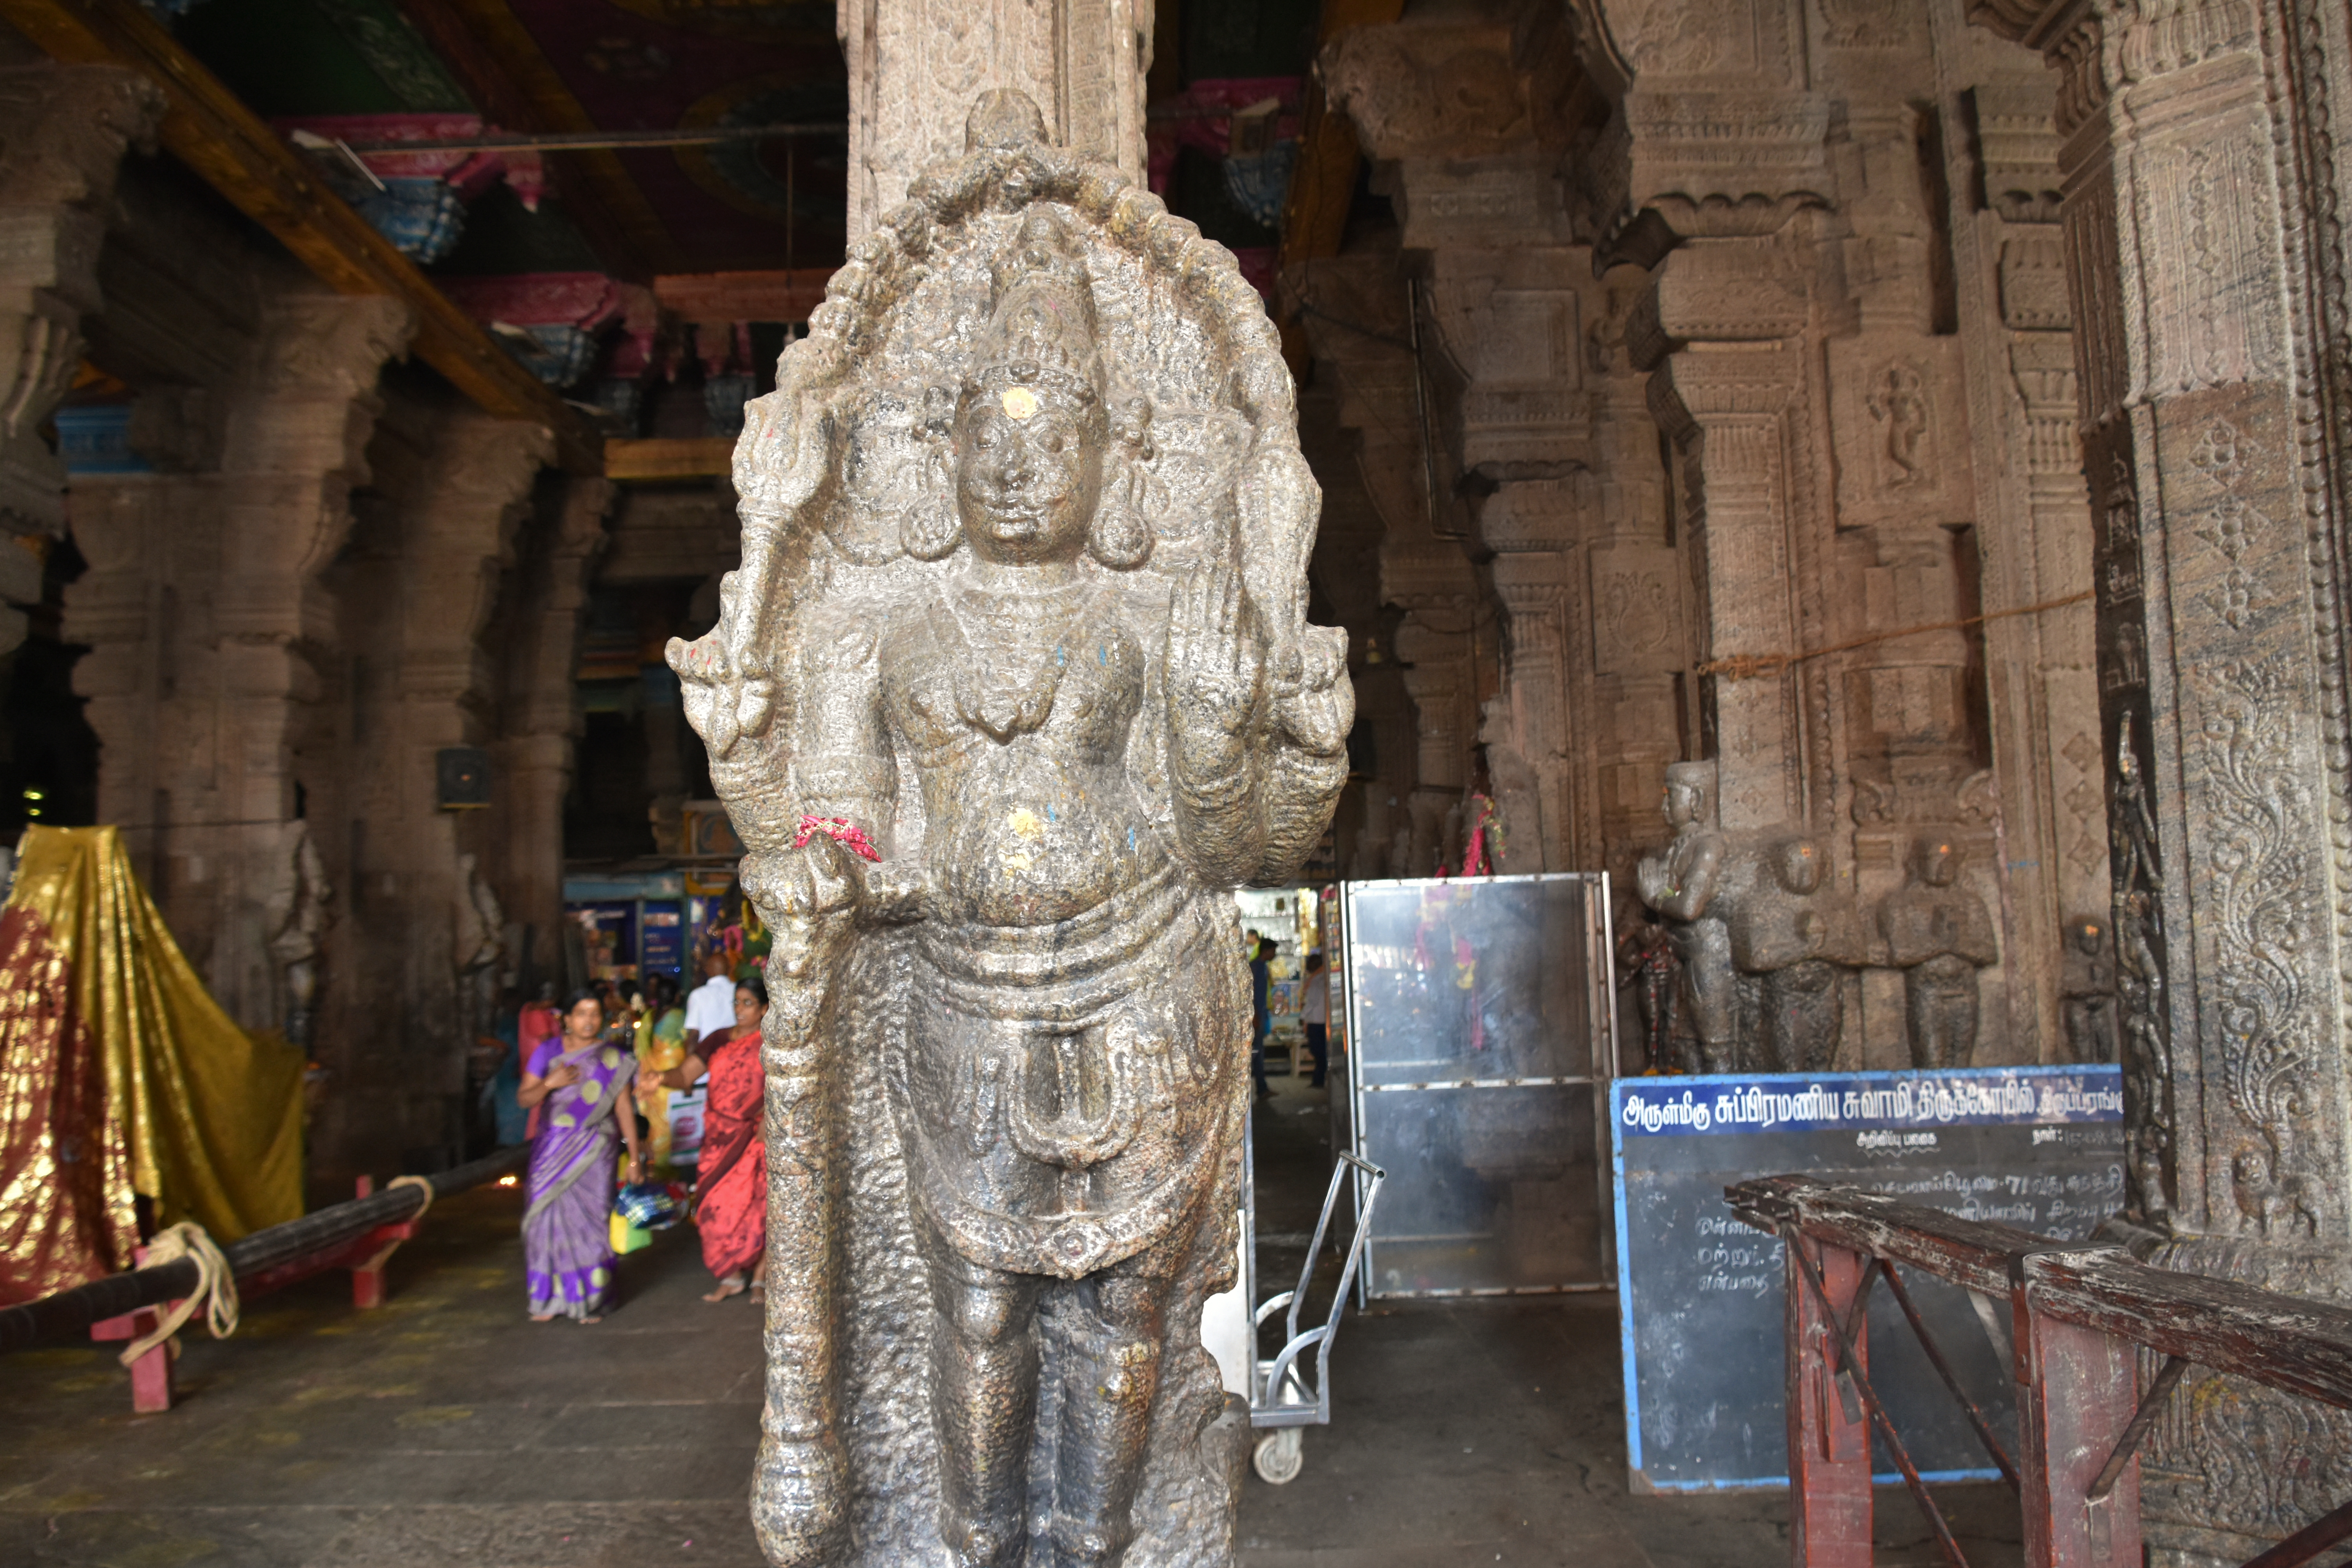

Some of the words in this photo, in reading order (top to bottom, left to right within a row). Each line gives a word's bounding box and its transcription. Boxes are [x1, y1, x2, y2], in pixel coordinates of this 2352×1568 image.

[1615, 1087, 1713, 1138] அருள்மீகு
[1711, 1080, 1843, 1133] சுப்பிரமணிய
[1842, 1077, 1919, 1123] சுவாமி
[1913, 1073, 2038, 1127] திருக்கோயில்
[2032, 1081, 2126, 1122] திருப்பரங்க